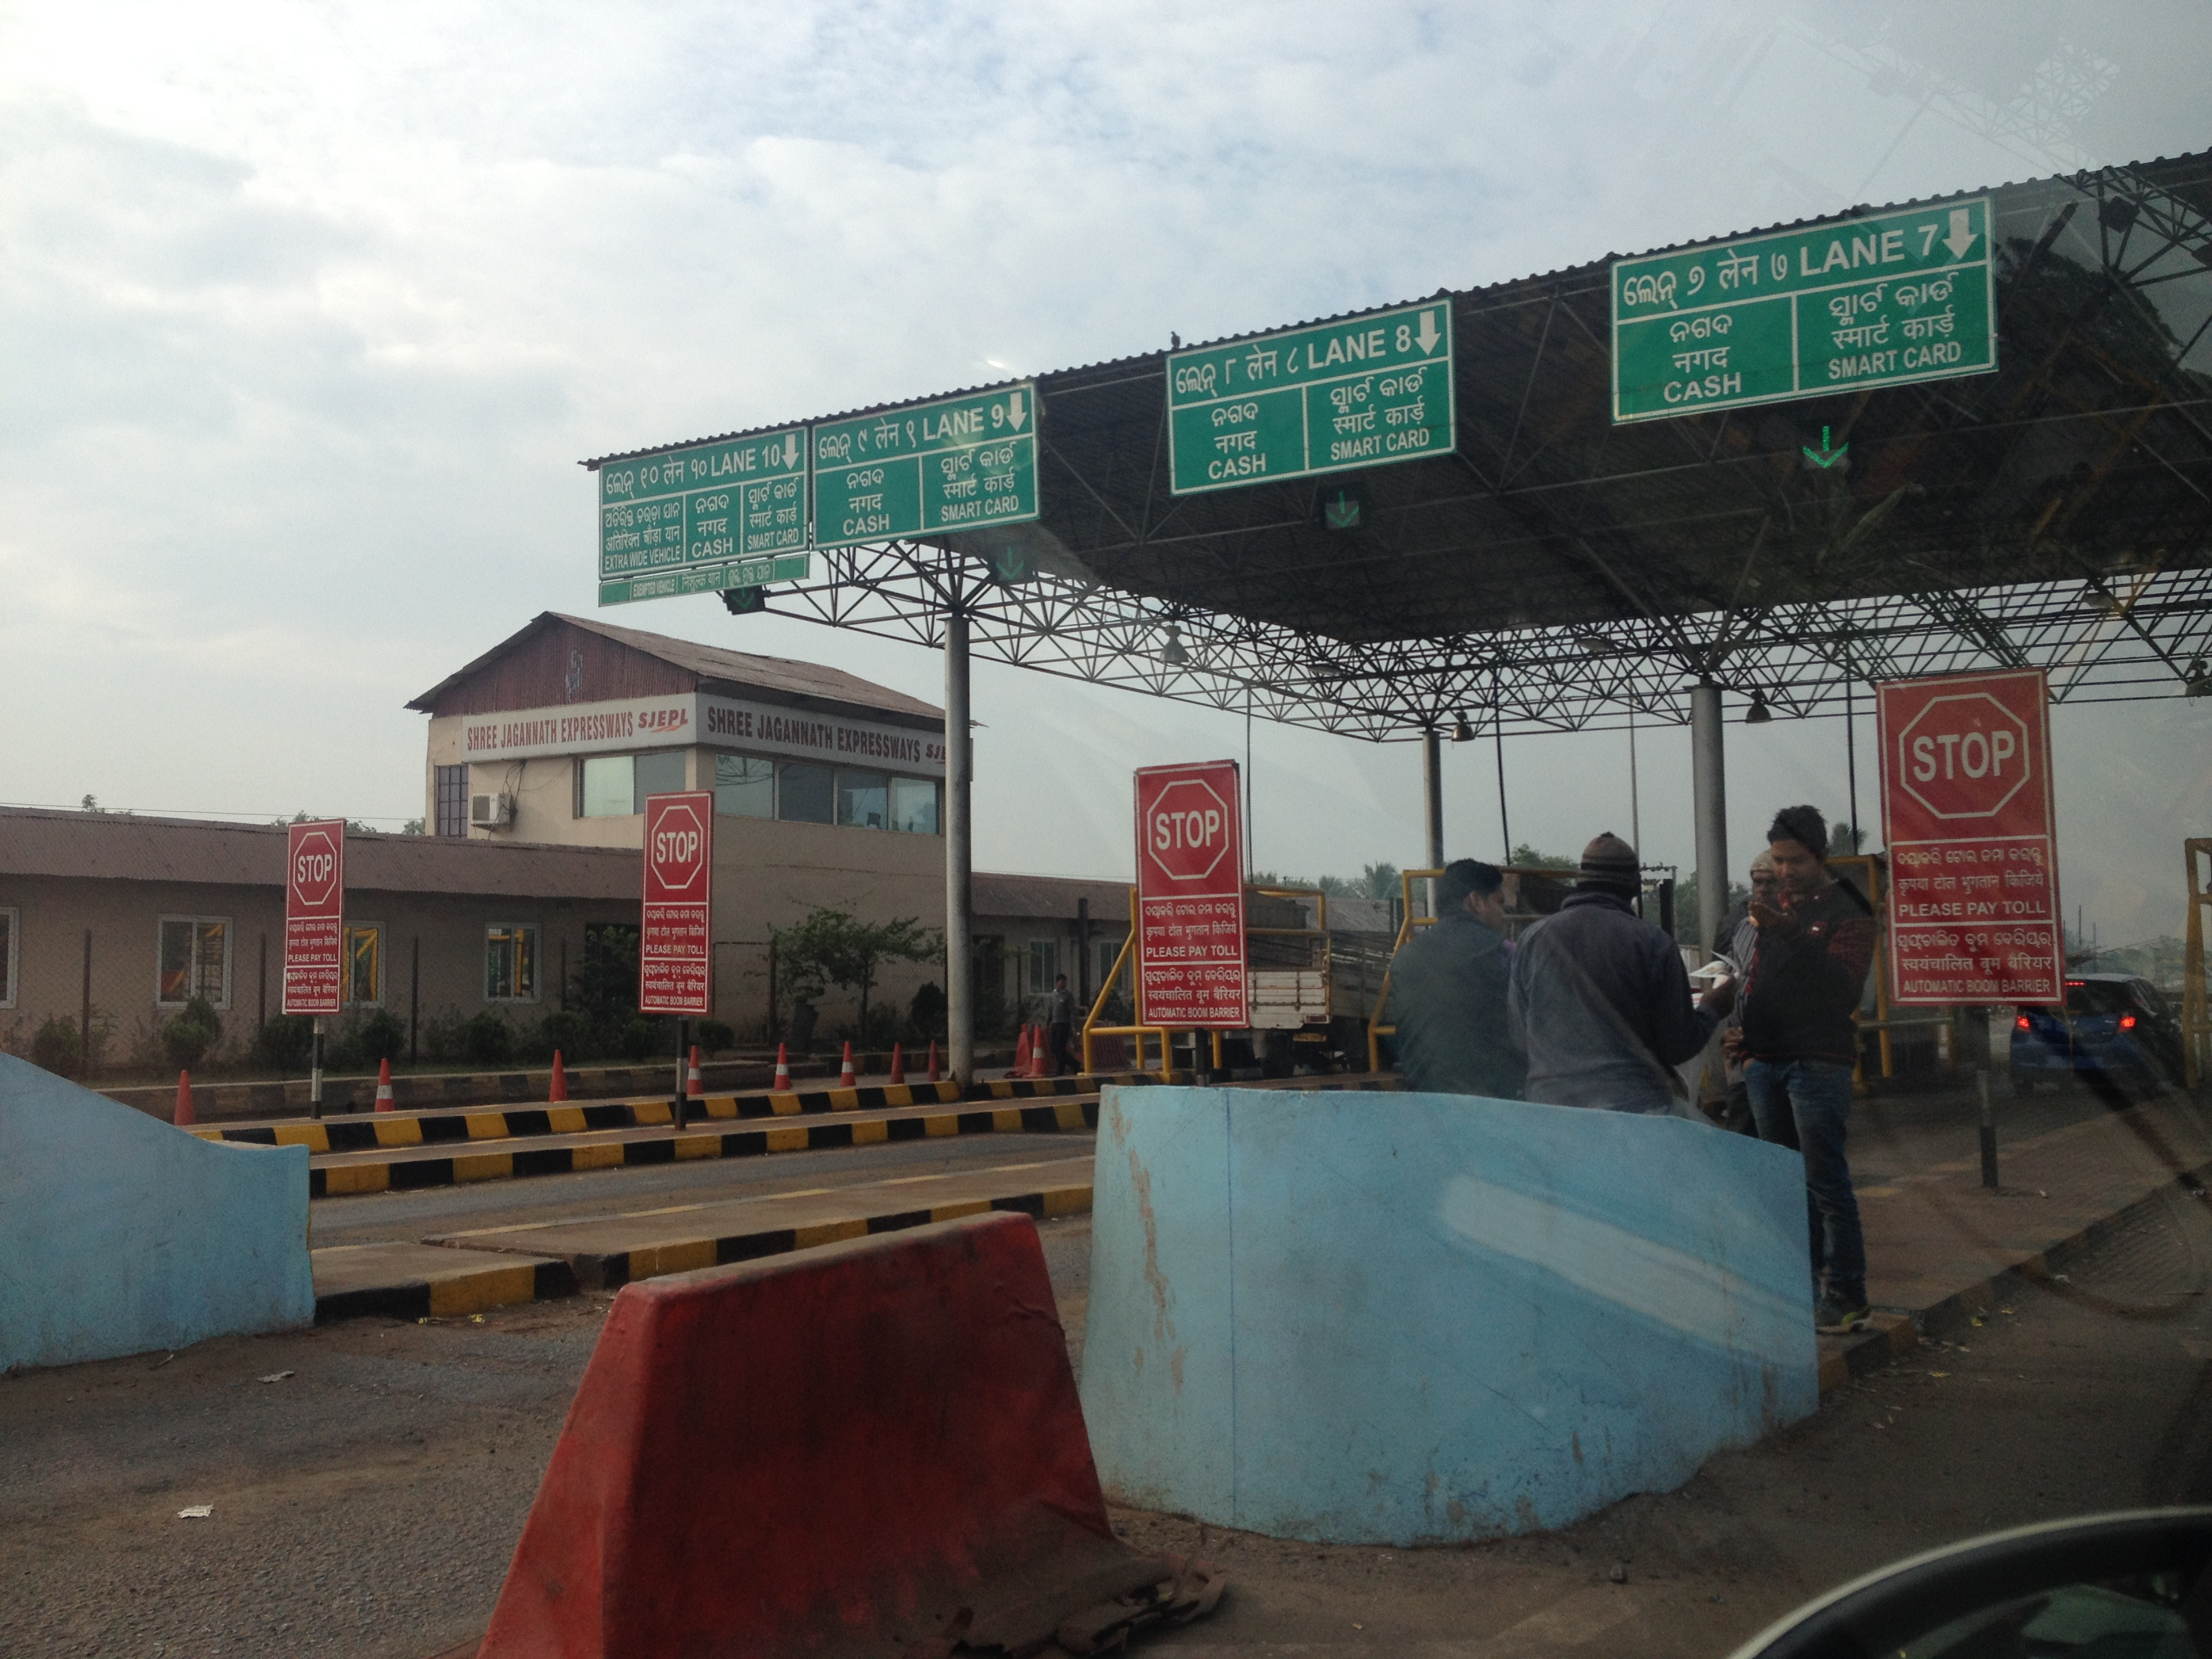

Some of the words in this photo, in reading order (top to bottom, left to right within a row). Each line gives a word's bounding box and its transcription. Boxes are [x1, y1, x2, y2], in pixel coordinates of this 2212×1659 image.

[1795, 222, 1944, 280] LANE7
[1711, 242, 1761, 293] लेन
[1764, 246, 1793, 289] ७
[1620, 262, 1711, 313] ଲେନ୍ ୭
[1894, 266, 1965, 312] କାର୍ଡ
[1826, 280, 1890, 330] ସ୍ମାର୍ଟ
[1170, 354, 1238, 405] ଲେନ୍ ୮
[1240, 337, 1281, 385] लेन
[1283, 342, 1305, 380] ८
[1303, 325, 1390, 373] LANE
[1328, 372, 1376, 419] ସ୍ମାର୍ଟ
[1392, 316, 1414, 361] 8
[1376, 361, 1431, 403] କାର୍ଡ
[1658, 369, 1743, 407] CASH
[1666, 308, 1738, 346] ନଗଦ
[1671, 344, 1733, 375] नगद
[1830, 310, 1893, 355] स्‍मार्ट
[1824, 348, 1900, 387] SMART
[1900, 301, 1958, 342] कार्ड़
[1902, 336, 1965, 372] CARD
[602, 551, 631, 575] EXTRA
[600, 501, 635, 532] ଅତରକ୍ତ
[600, 466, 640, 502] ଲେନ୍
[602, 525, 642, 554] अतिरिक्त
[627, 548, 652, 571] WIDE
[634, 462, 662, 493] ୧୦
[633, 498, 663, 529] ଚଉଡ଼ା
[638, 521, 665, 548] चौड़ा
[643, 540, 685, 567] VEHICLE
[659, 498, 683, 523] ଯାନ
[658, 448, 687, 489] लेन
[662, 520, 685, 544] यान
[684, 451, 712, 484] १०
[690, 491, 730, 516] ନଗଦ
[692, 513, 731, 539] नगद
[688, 535, 736, 560] CASH
[707, 445, 759, 480] LANE
[745, 480, 775, 513] ସ୍ମାର୍ଟ
[745, 504, 775, 531] स्मार्ट
[760, 440, 783, 470] 10
[772, 501, 801, 529] कार्ड़
[771, 475, 803, 504] କାର୍ଡ
[817, 425, 871, 464] ଲେନ ୯
[837, 511, 891, 539] CASH
[841, 466, 888, 490] ନଗଦ
[846, 493, 885, 516] नगद
[868, 413, 903, 455] लेन
[900, 414, 919, 451] १
[940, 447, 978, 486] ସ୍ମାର୍ଟ
[937, 470, 982, 504] स्मार्ट
[937, 498, 984, 527] SMART
[919, 399, 1009, 444] LANE9
[977, 440, 1020, 470] କାର୍ଡ
[982, 463, 1019, 497] कार्ड़
[981, 489, 1021, 518] CARD
[1206, 398, 1262, 430] ନଗଦ
[1208, 424, 1262, 457] नगद
[1203, 450, 1269, 483] CASH
[1329, 400, 1379, 438] स्मार्ट
[1327, 432, 1385, 466] SMART
[1382, 391, 1432, 430] कार्ड़
[1382, 426, 1432, 456] CARD
[676, 569, 710, 594] निशुल्क
[704, 569, 722, 590] यान
[462, 720, 500, 753] SHREE
[498, 716, 560, 751] JAGANNATH
[558, 705, 636, 746] EXPRESSWAYS
[636, 704, 691, 731] SJEPL
[704, 703, 754, 739] SHREE
[752, 711, 836, 753] JAGANNATH
[836, 722, 924, 765] EXPRESSWAYS
[1896, 714, 2020, 789] STOP
[1142, 802, 1227, 855] STOP
[654, 827, 701, 867] STOP
[644, 922, 663, 941] कृपया
[644, 902, 668, 922] ଦୟାକରି
[643, 941, 674, 956] PLEASE
[657, 920, 674, 940] टोल
[670, 942, 688, 957] PAY
[668, 926, 691, 943] भुगतान
[663, 904, 708, 927] ଟୋଲ ଜମା କରନ୍ତୁ
[682, 921, 708, 941] किजिये
[685, 943, 707, 956] TOLL
[1142, 924, 1168, 945] कृपया
[1142, 897, 1177, 922] ଦୟାକରି
[1145, 940, 1189, 960] PLEASE
[1163, 918, 1185, 941] टोल
[1172, 898, 1200, 919] ହୋଇ
[1181, 921, 1214, 943] भुगतान
[1187, 943, 1210, 959] PAY
[1193, 898, 1216, 920] ଜମା
[1208, 941, 1240, 959] TOLL
[1208, 917, 1241, 938] किजिये
[1210, 895, 1240, 920] କରନ୍ତୁ
[640, 994, 672, 1009] AUTOMATIC
[642, 959, 674, 980] ସ୍ୱୟଂଚାଳିତ
[643, 976, 677, 993] स्वयंचालित
[668, 962, 684, 983] ବୁମ୍
[667, 994, 685, 1010] BOOM
[672, 975, 688, 997] बुम
[678, 960, 708, 981] କେରିୟର
[680, 994, 706, 1009] BARRIER
[680, 977, 708, 995] बैरियर।
[1143, 965, 1188, 987] ସ୍ବୟଂଚାଳିତ
[1144, 1002, 1189, 1021] AUTOMATIC
[1143, 983, 1195, 1002] स्वयंचालित
[1185, 965, 1206, 990] ବୁମ୍
[1185, 1004, 1211, 1022] BOOM
[1194, 983, 1212, 1008] बूम
[1203, 962, 1244, 985] ବେରିୟର
[1206, 1002, 1244, 1021] BARRIER
[1208, 981, 1245, 1004] बैरियर